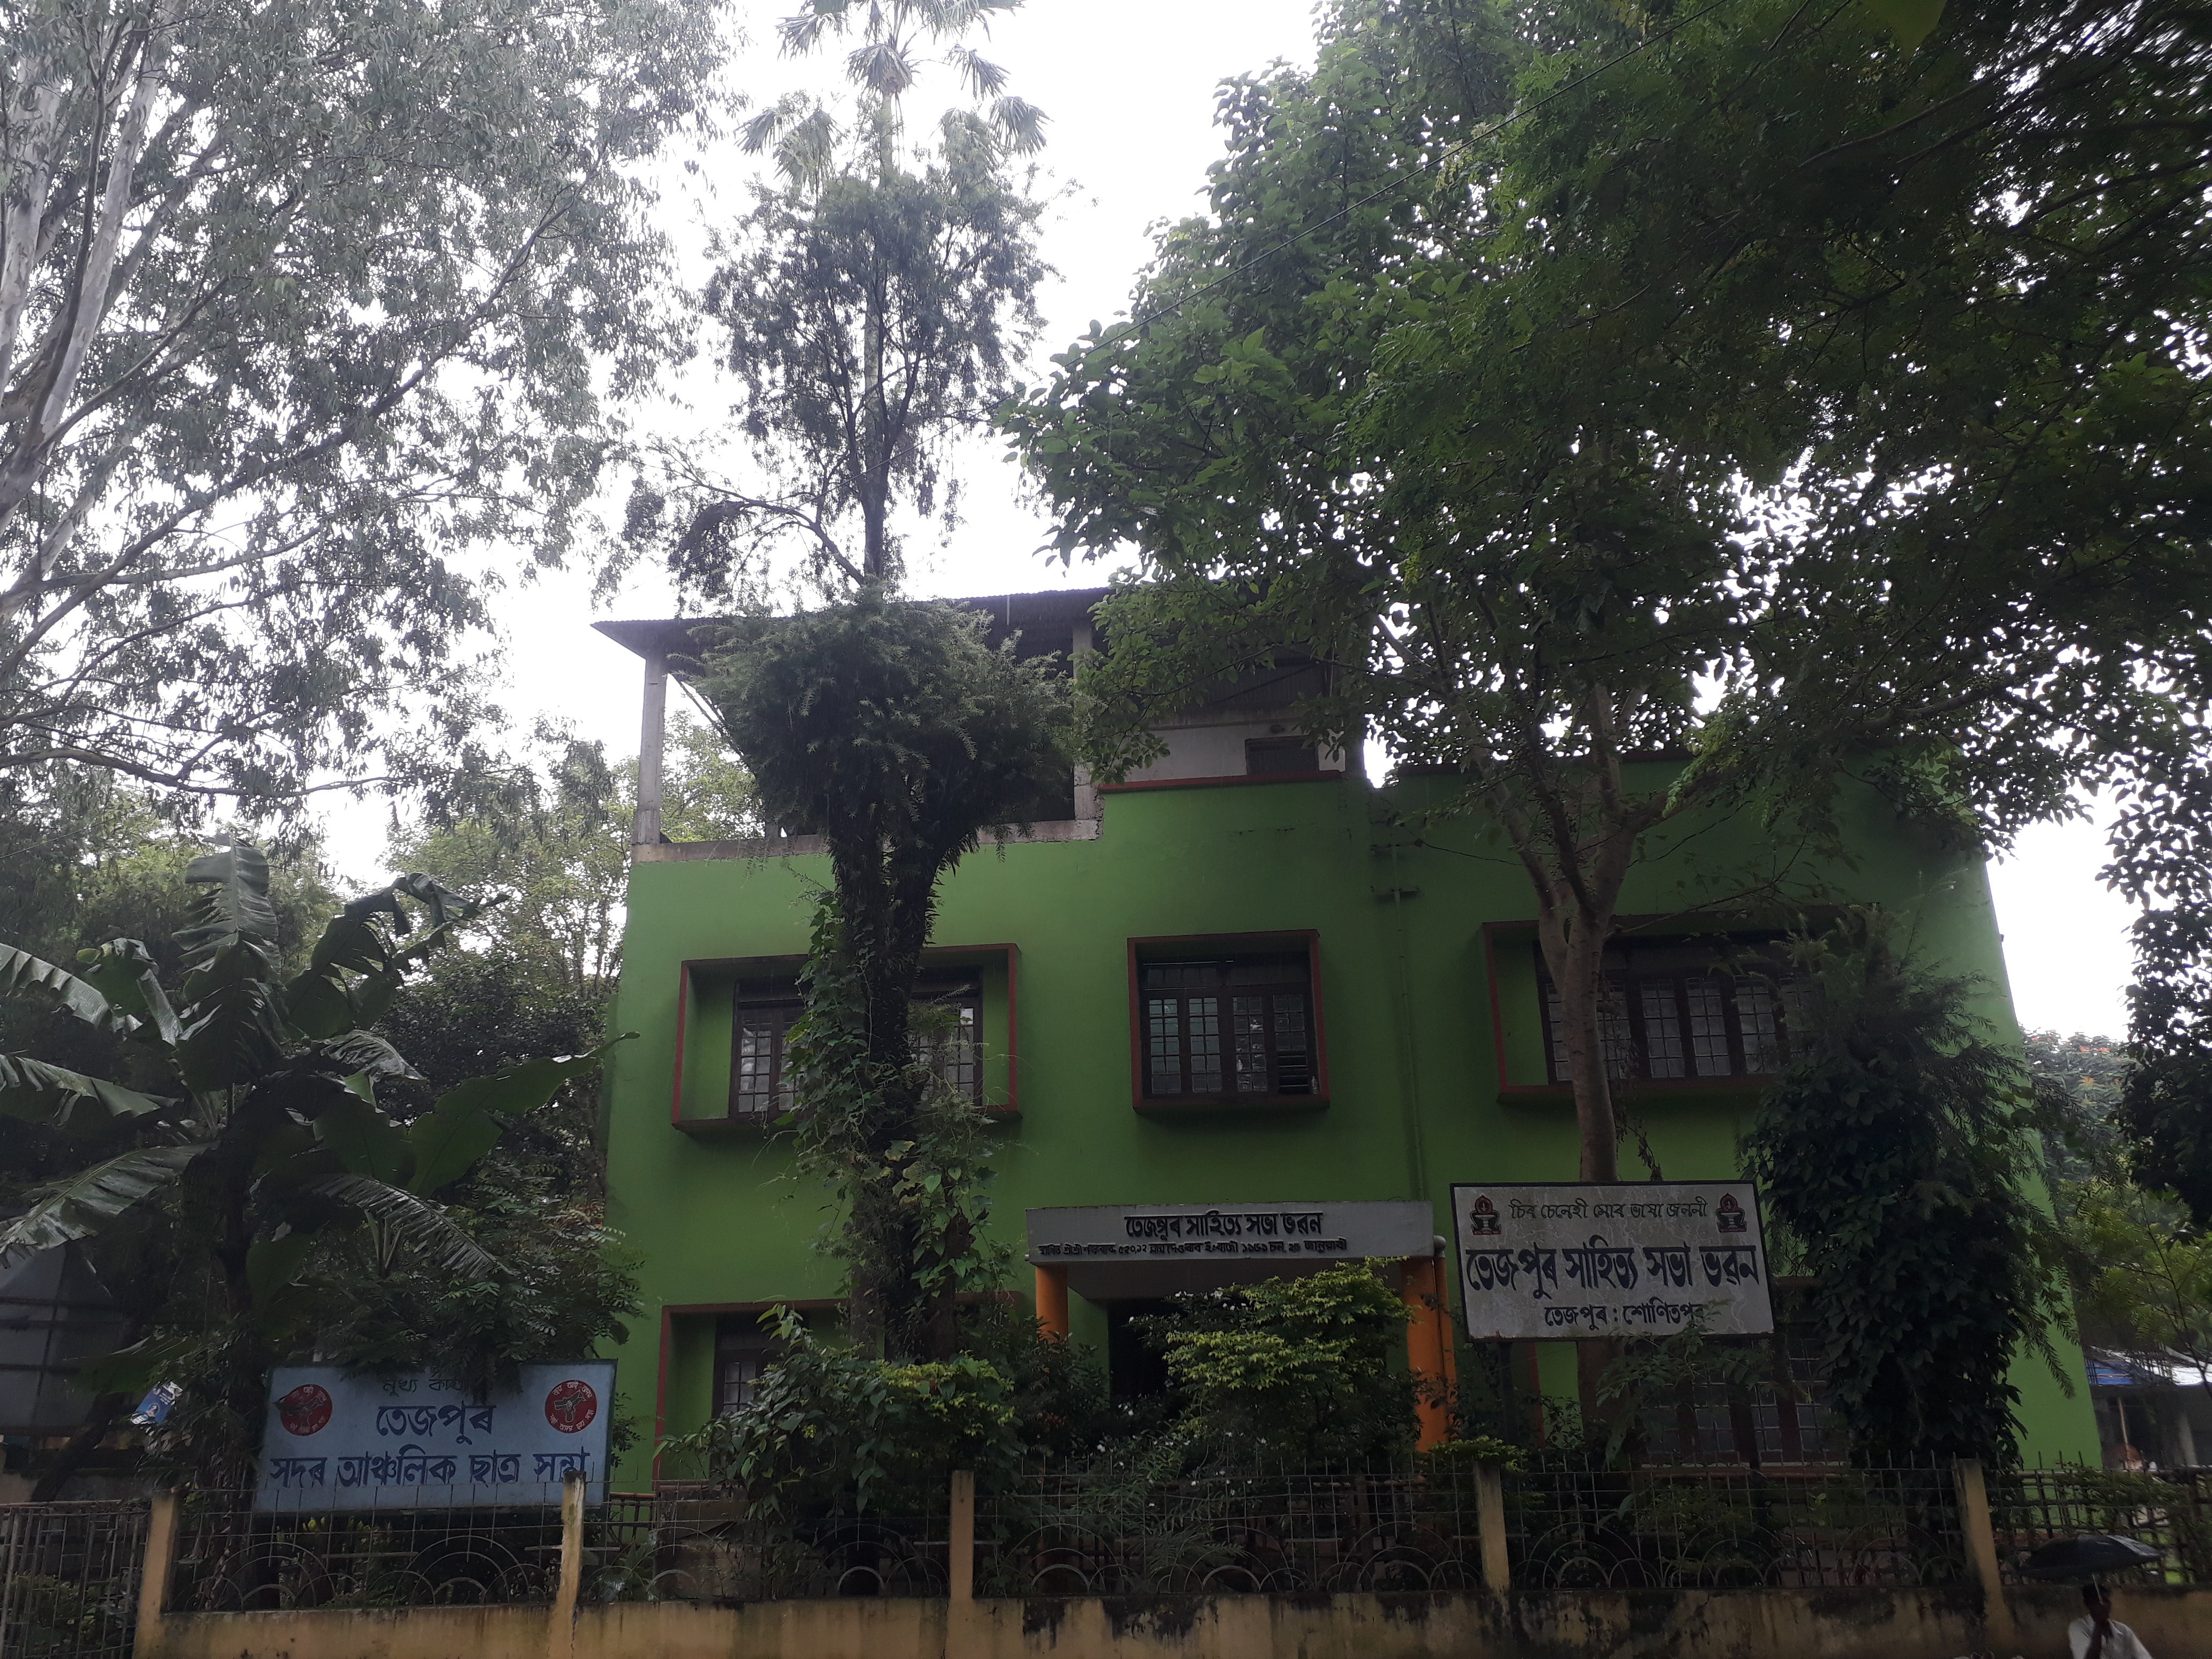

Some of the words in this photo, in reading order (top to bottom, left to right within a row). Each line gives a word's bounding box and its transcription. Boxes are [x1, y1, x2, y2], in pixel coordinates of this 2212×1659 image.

[1119, 1210, 1185, 1244] তেজমুৰ
[1184, 1204, 1245, 1239] সাহিত্য
[1241, 1206, 1283, 1238] সভা
[1278, 1205, 1325, 1238] ভৱন
[1505, 1193, 1544, 1225] চিৰ
[1537, 1193, 1591, 1223] চেনেহী
[1590, 1197, 1628, 1221] মোৰ
[1627, 1199, 1667, 1224] ভাষা
[1665, 1191, 1711, 1220] জননী
[1034, 1240, 1067, 1260] স্থানিত
[1117, 1240, 1149, 1257] ৫২০,১২
[1146, 1238, 1207, 1257] মারদেওব্যব
[1200, 1234, 1241, 1257] ইংবাজী
[1238, 1237, 1292, 1257] ১৯৫৯ চন
[1286, 1235, 1309, 1255] ২৬
[1301, 1231, 1350, 1257] জানুৱাখী
[1463, 1240, 1564, 1301] তেজপুৰ
[1559, 1228, 1643, 1292] সাহিত্য
[1641, 1235, 1697, 1290] সভা
[1695, 1241, 1765, 1291] ভৱন
[1540, 1302, 1612, 1335] তেজপুৰ
[1620, 1293, 1713, 1331] শোণিতপুৰ
[381, 1371, 424, 1399] মুখ্য
[370, 1399, 500, 1447] তেজপুৰ
[267, 1449, 330, 1493] সদৰ
[334, 1439, 462, 1491] আঞ্চলিক
[466, 1445, 524, 1491] ছাত্র
[530, 1442, 592, 1485] স